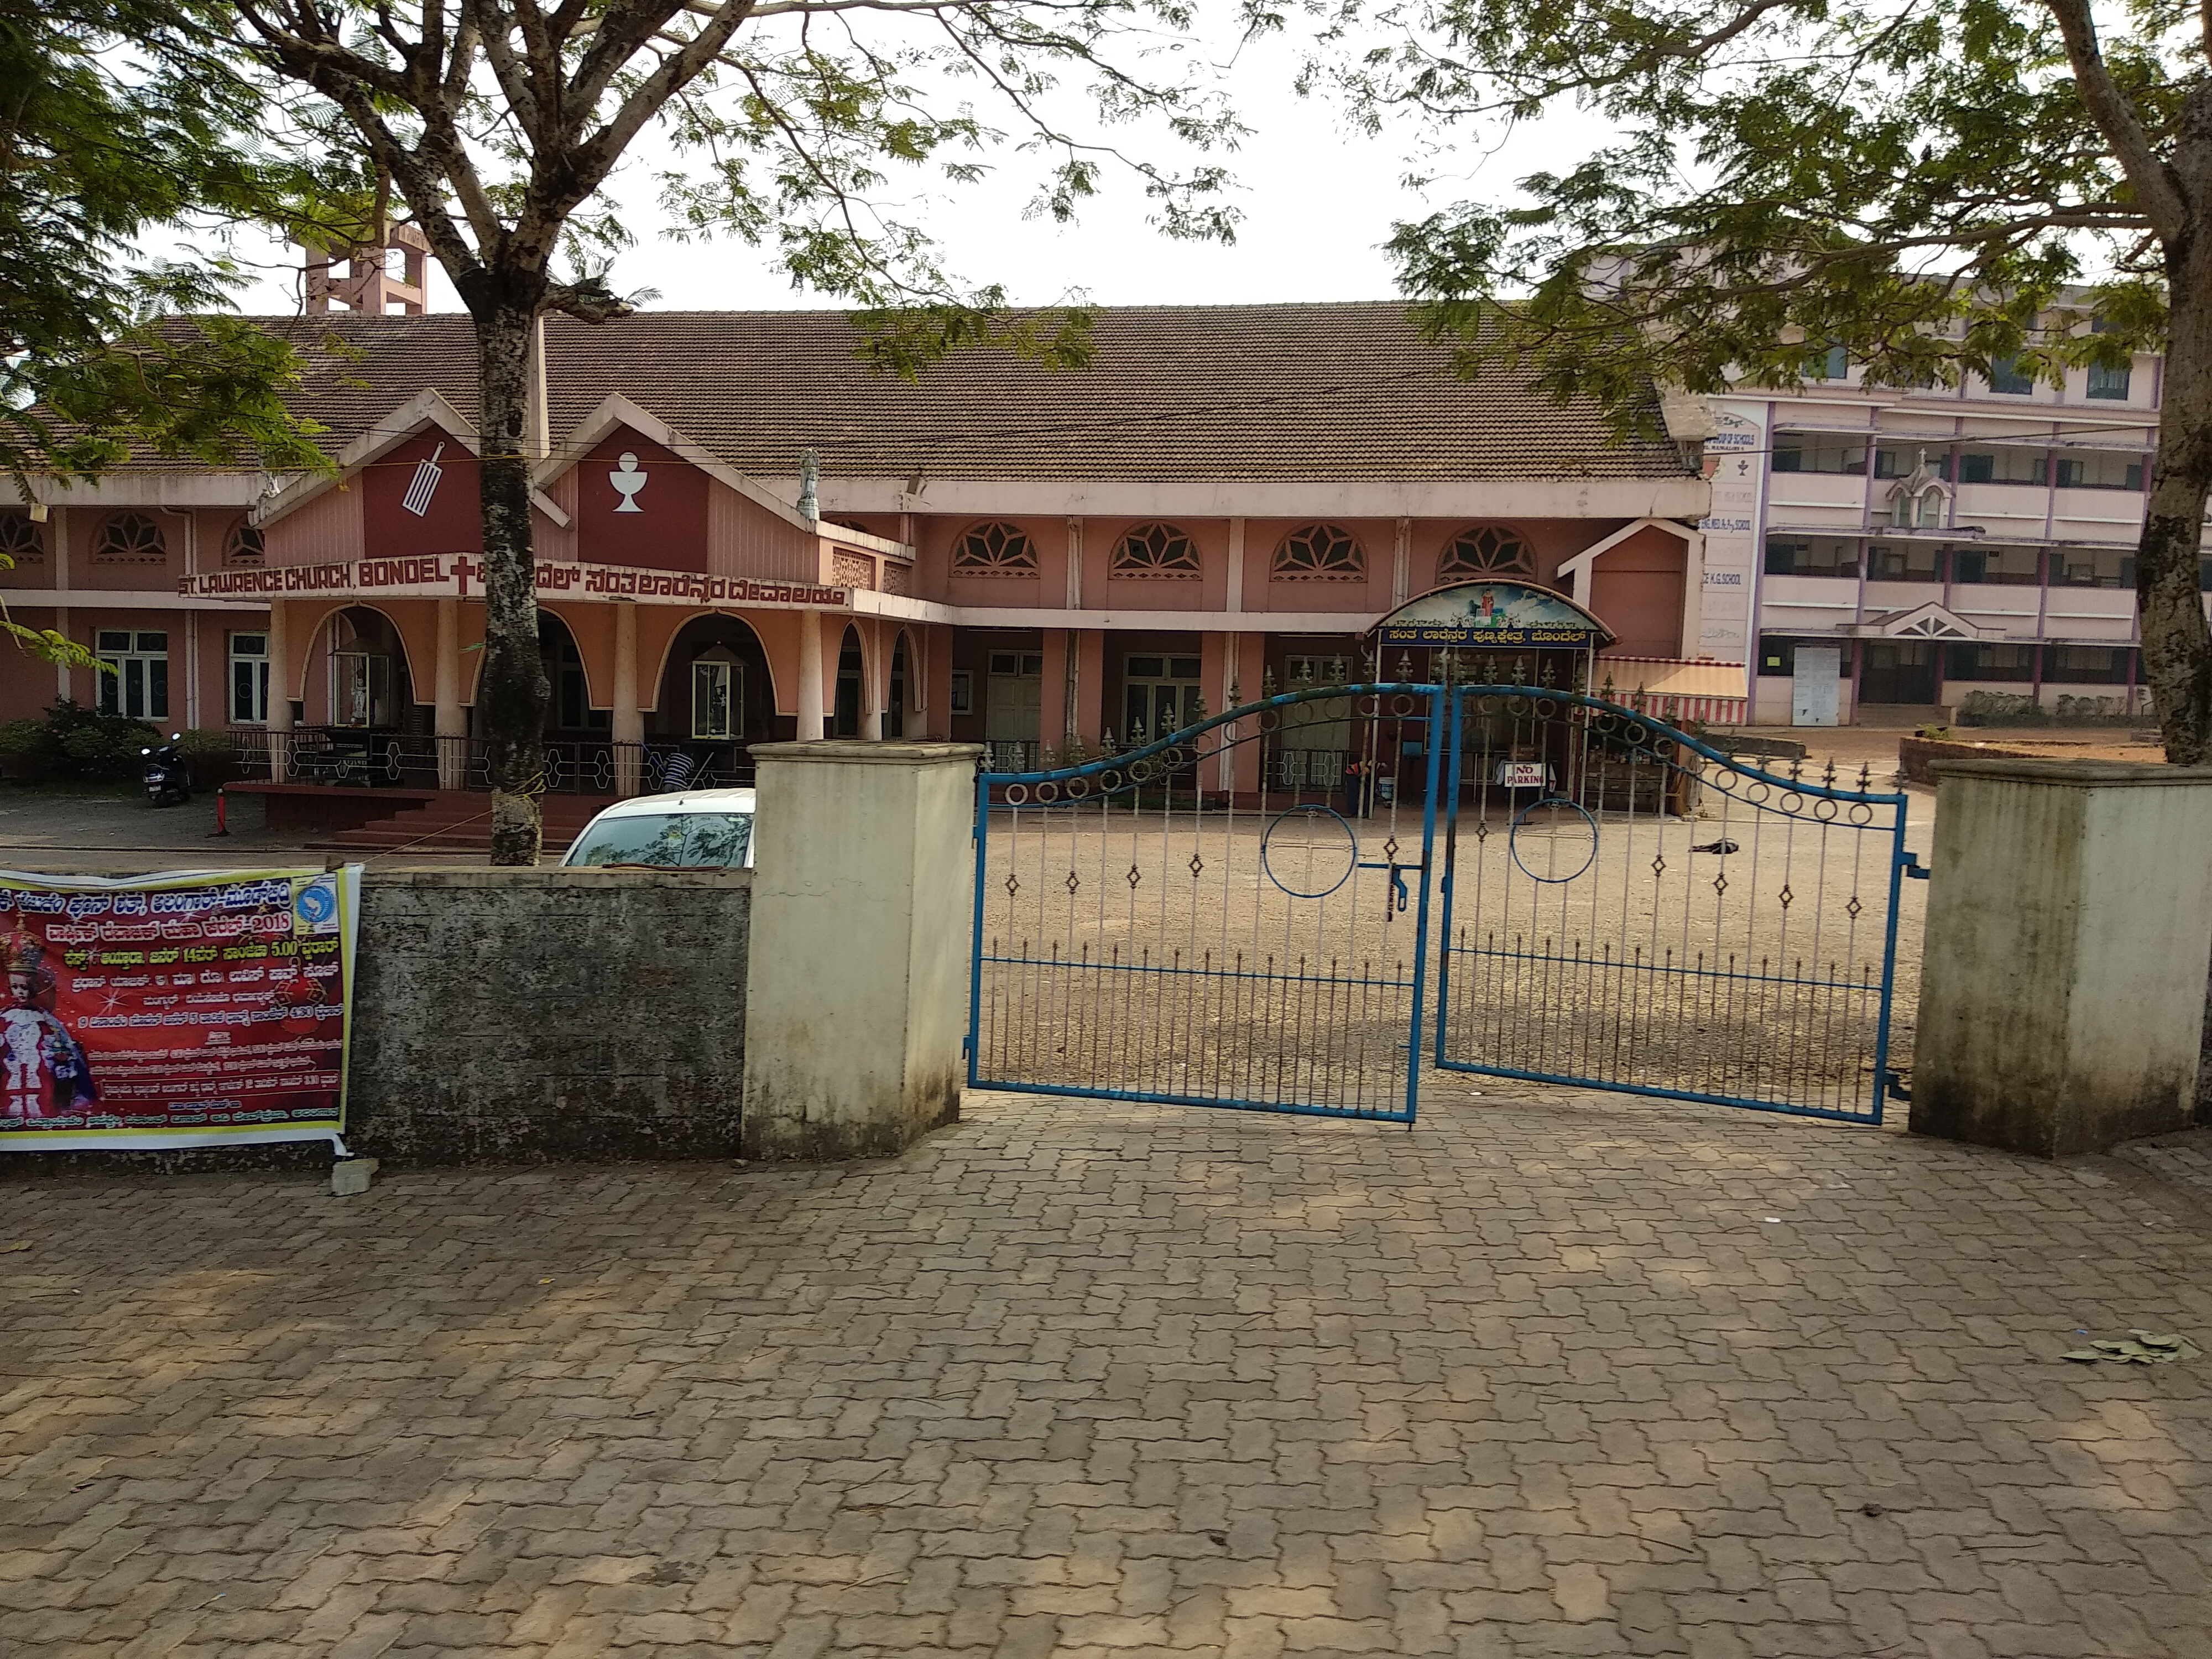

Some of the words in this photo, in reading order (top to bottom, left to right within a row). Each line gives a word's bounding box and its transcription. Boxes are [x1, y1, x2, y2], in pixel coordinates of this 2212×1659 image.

[173, 565, 286, 597] ST.LAWRENCE
[280, 560, 352, 592] CHURCH
[356, 554, 451, 589] BONDEL
[581, 565, 730, 606] ಸಂತಲಾರೆನರ
[726, 577, 846, 608] ದೇವಾಲಯ
[1386, 625, 1420, 641] ಸಂತ
[1420, 624, 1469, 645] ಲಾರೆನ್ಸರ
[1472, 628, 1527, 648] ಪುಣ್ಪಕ್ಷೇತ್ರ
[1528, 625, 1588, 645] ಬೊಂದಲ್
[66, 889, 116, 919] ಪೂನ್
[110, 886, 149, 919] ಶತ್
[149, 883, 220, 914] ಅಲಂಗಾರ್
[158, 916, 204, 941] ಮಹಾ
[198, 911, 246, 940] ಪದಬ್
[247, 909, 293, 934] 2018
[68, 972, 110, 995] ಪ್ರಧಾನ್
[98, 950, 148, 972] ಆಯ್ತಾರಾ
[147, 944, 184, 967] ಜವರ್
[178, 941, 221, 967] 14ವೆರ್
[220, 936, 269, 962] ಪಾಂಜಚಾ
[268, 937, 298, 962] 5.00
[297, 935, 341, 964] ವ್ಹರಾರ್
[299, 960, 340, 982] ಸೊಜ್
[139, 993, 182, 1014] ಮಂಗ್ಬರ್
[228, 988, 276, 1008] ಧರ್ಮಧ್ವತ್ಯ್
[285, 1004, 318, 1022] 4:30
[311, 1000, 348, 1024] ದ್ರಧರ್
[20, 1113, 86, 1131] ಒತ್ತಾಯಚಂ
[169, 1110, 211, 1126] ಏಗಾರ್